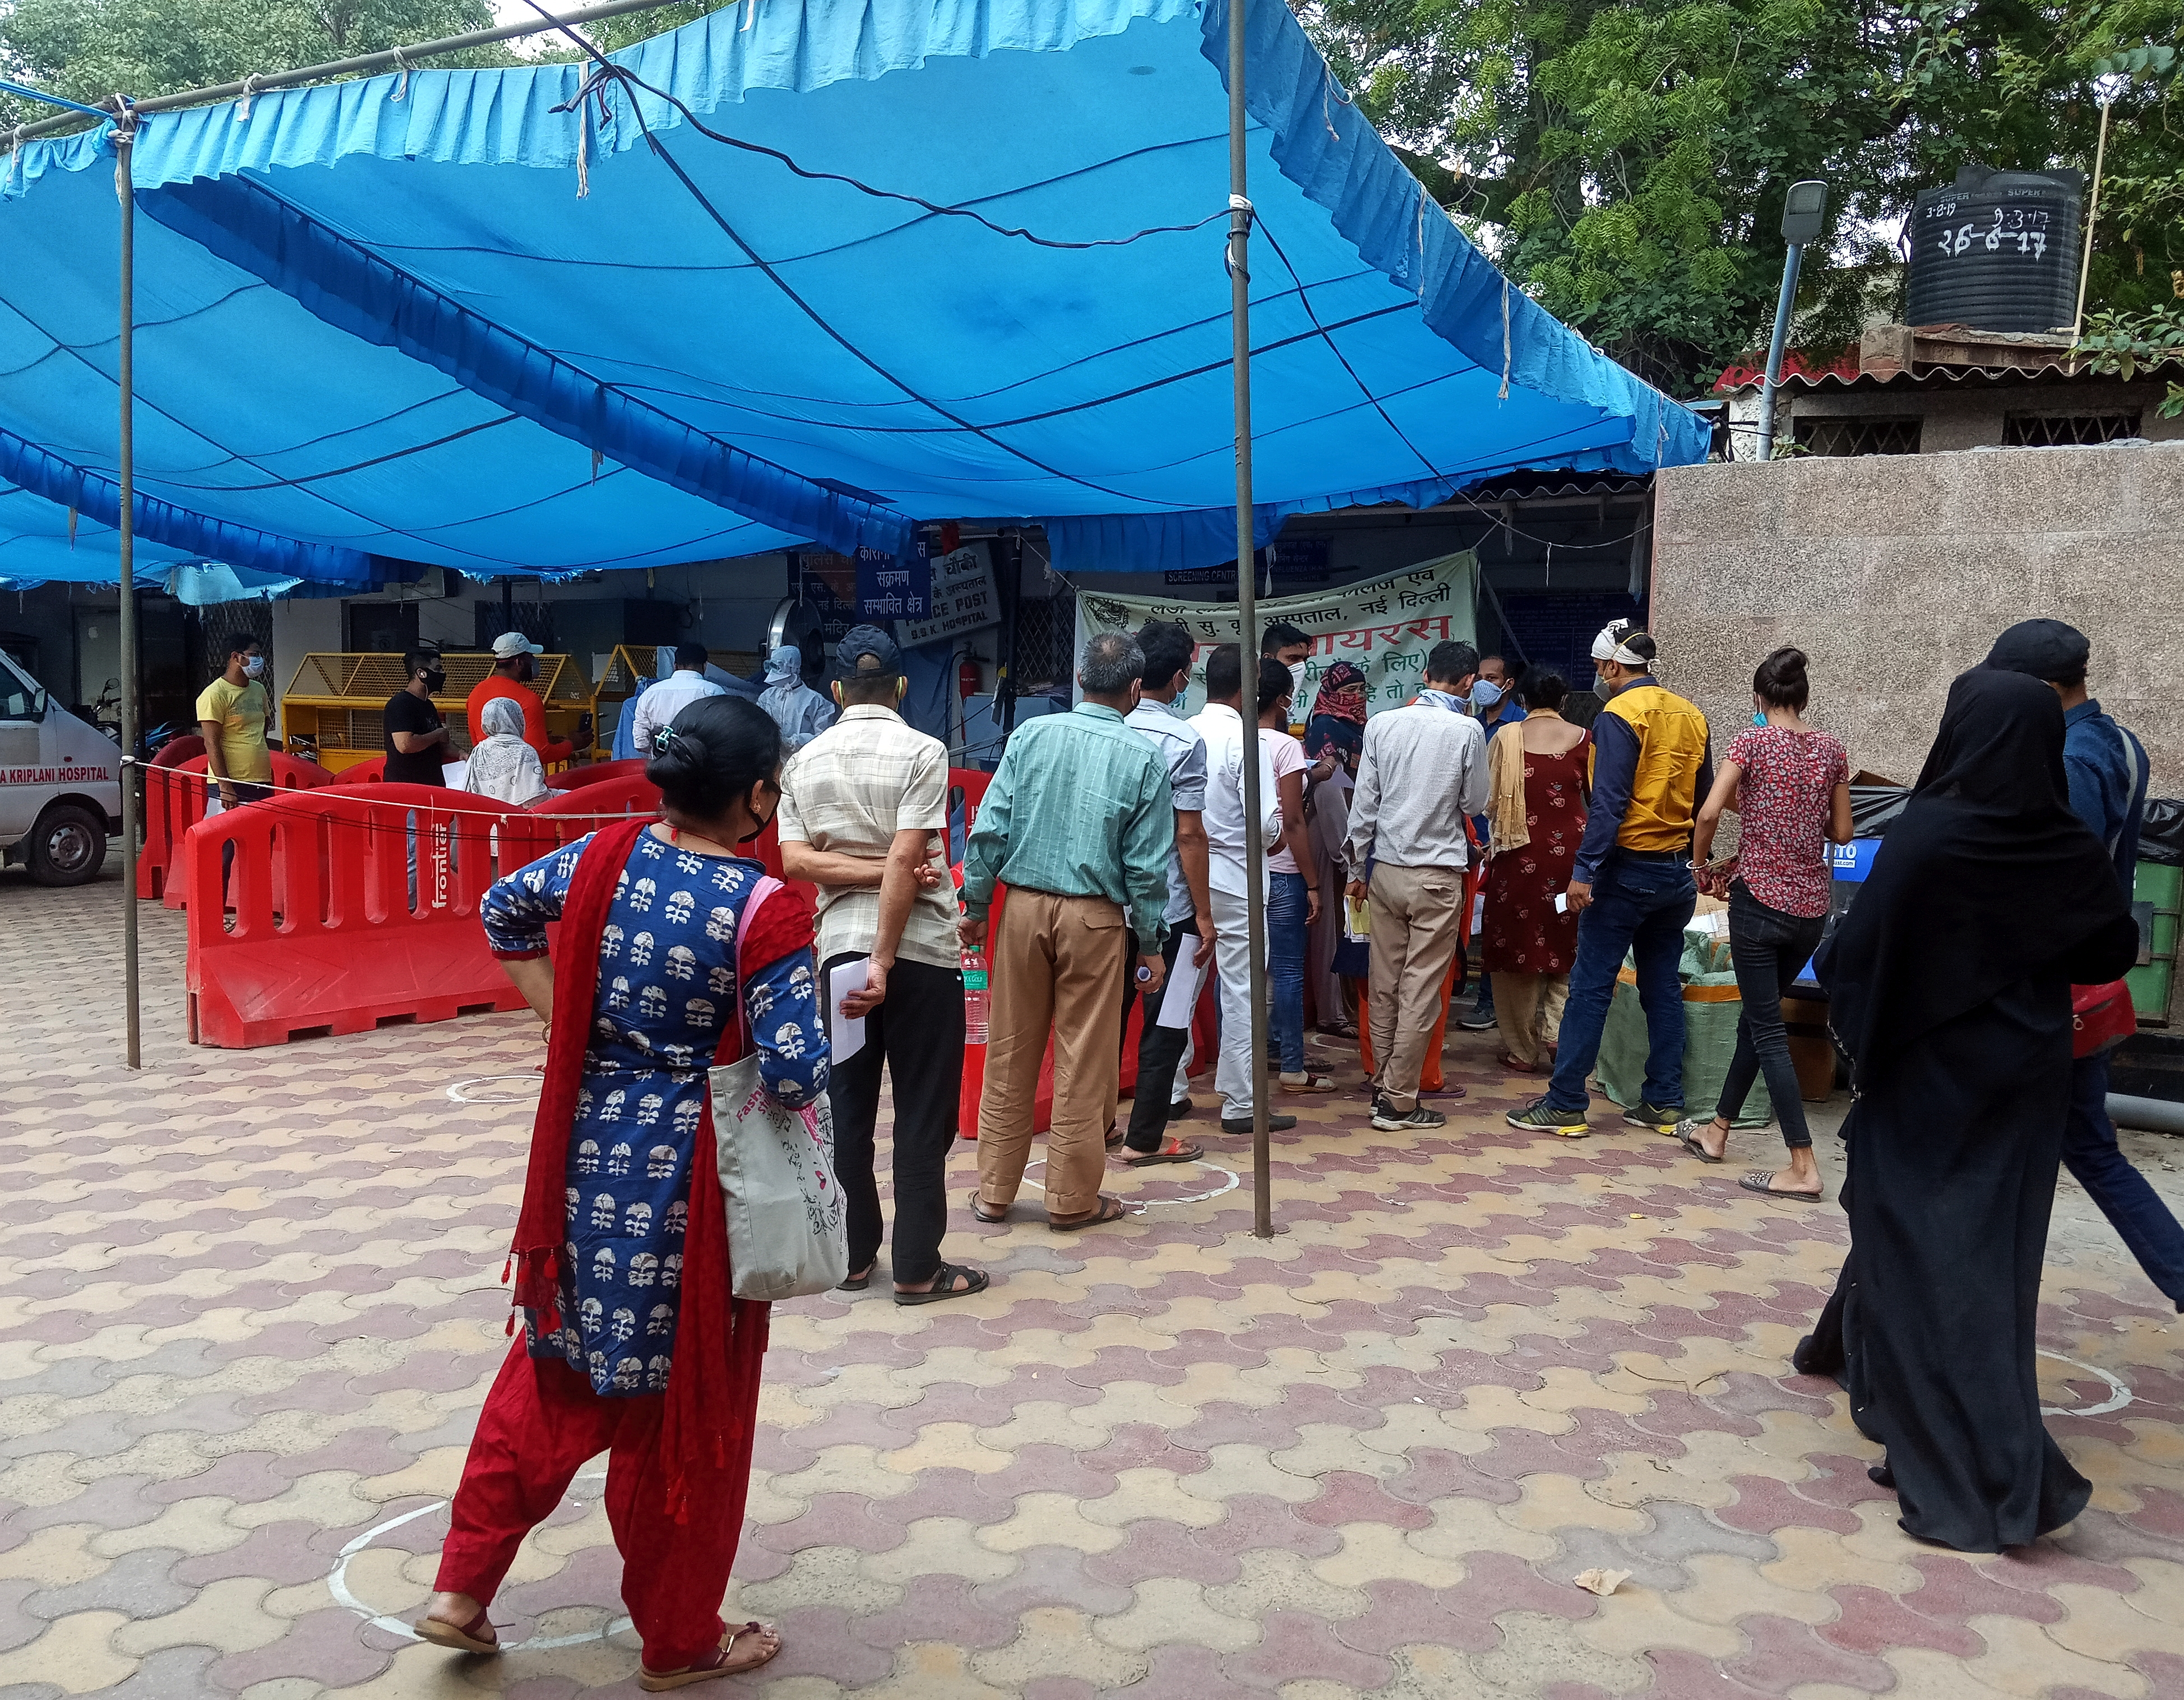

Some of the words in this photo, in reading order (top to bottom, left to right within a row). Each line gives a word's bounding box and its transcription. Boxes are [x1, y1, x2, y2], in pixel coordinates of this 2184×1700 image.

[940, 549, 978, 577] चौकी
[863, 591, 903, 614] सम्भावित
[877, 562, 910, 590] संक्रमण
[905, 589, 923, 615] क्षेत्र
[941, 609, 988, 632] HOSPITAL
[942, 575, 988, 599] अस्पताल
[952, 589, 991, 613] POST
[1262, 604, 1342, 631] अस्पताल
[1358, 593, 1389, 618] नई
[1396, 581, 1451, 611] दिल्ली
[1380, 649, 1420, 673] लिए
[6, 767, 55, 782] KRIPLANI
[57, 765, 109, 782] HOSPITAL